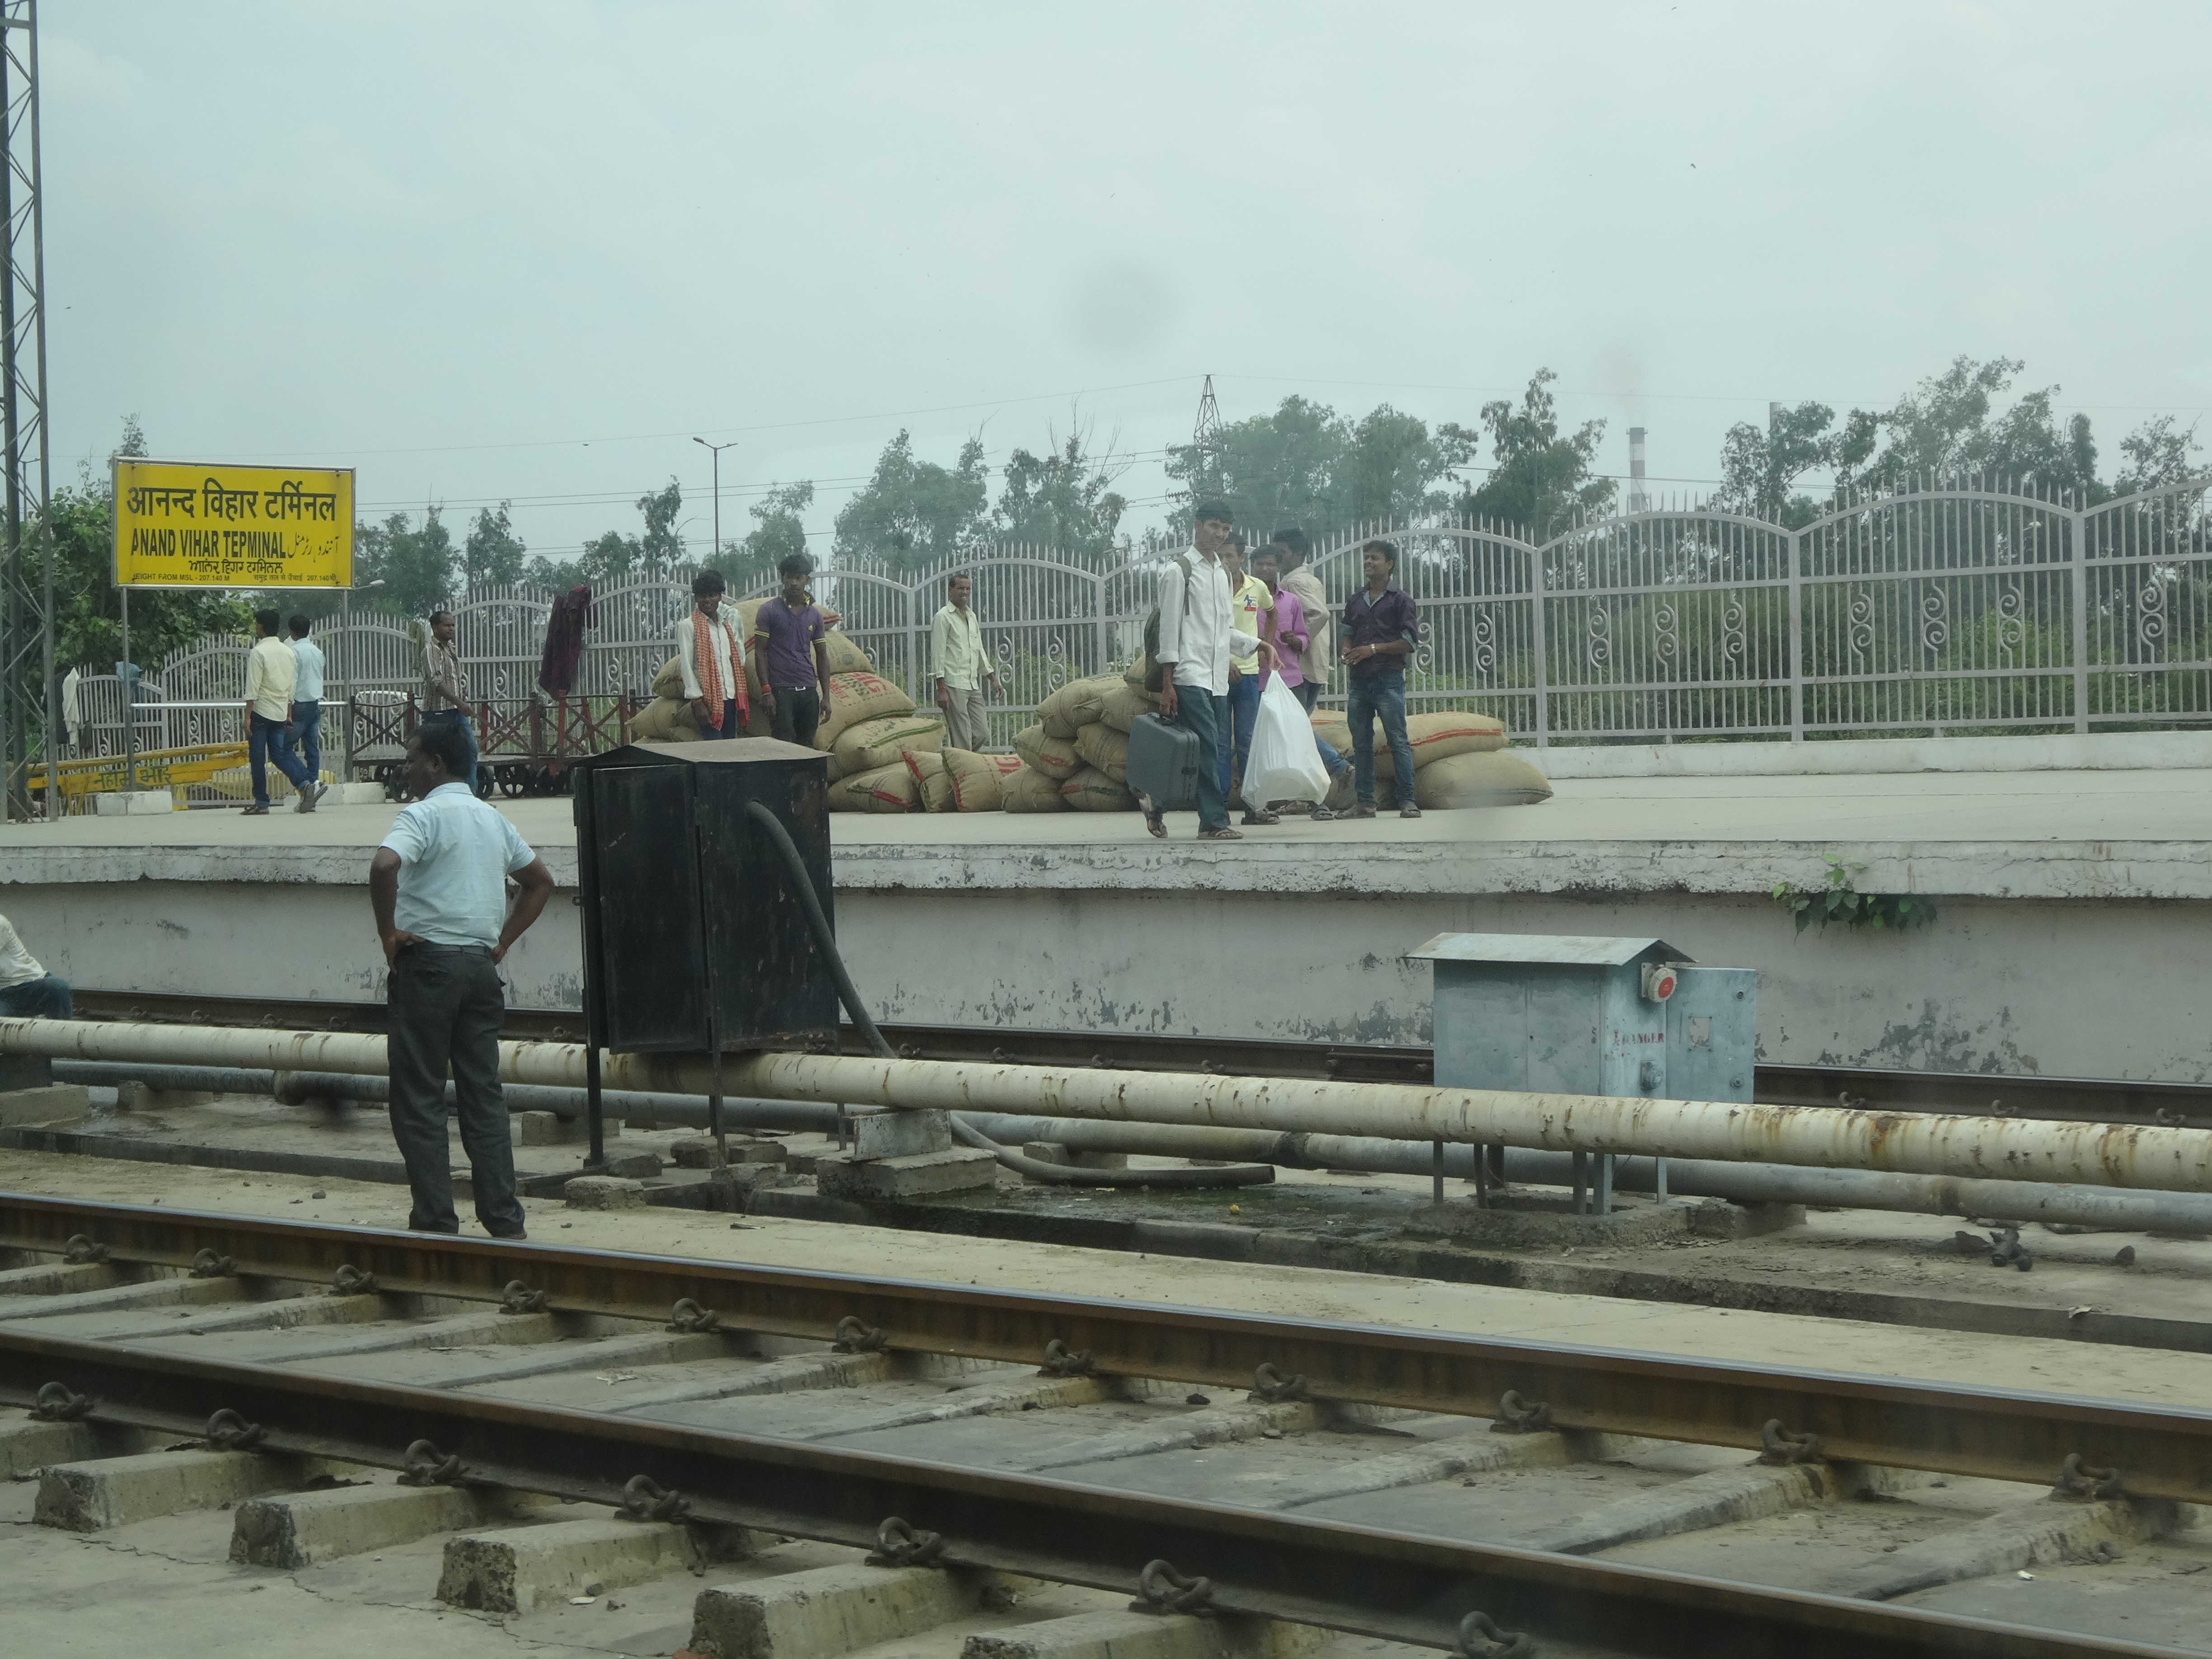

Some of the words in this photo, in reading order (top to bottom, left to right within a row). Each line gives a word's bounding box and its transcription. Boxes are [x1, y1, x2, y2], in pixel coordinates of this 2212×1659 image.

[126, 485, 197, 518] आनन्द
[199, 476, 259, 522] विहार
[262, 478, 338, 522] टर्मिनल
[128, 527, 176, 558] ANAND
[179, 529, 220, 557] VIHAR
[222, 529, 287, 558] TEPMINAL
[187, 556, 221, 574] ਆਨੰਦ
[219, 556, 245, 576] हिगर
[247, 557, 285, 574] ਟਰਮਿਨਲ
[131, 572, 155, 581] HEIGHT
[158, 572, 178, 581] FROM
[178, 573, 194, 581] MSL
[198, 573, 230, 582] 207.140M
[253, 574, 268, 585] समुद्र
[267, 572, 280, 581] छत
[278, 572, 287, 581] से
[287, 572, 304, 583] उँचाई
[306, 573, 330, 581] 207.140
[328, 572, 338, 582] मी
[94, 767, 136, 792] नहीम
[136, 762, 176, 787] भाई